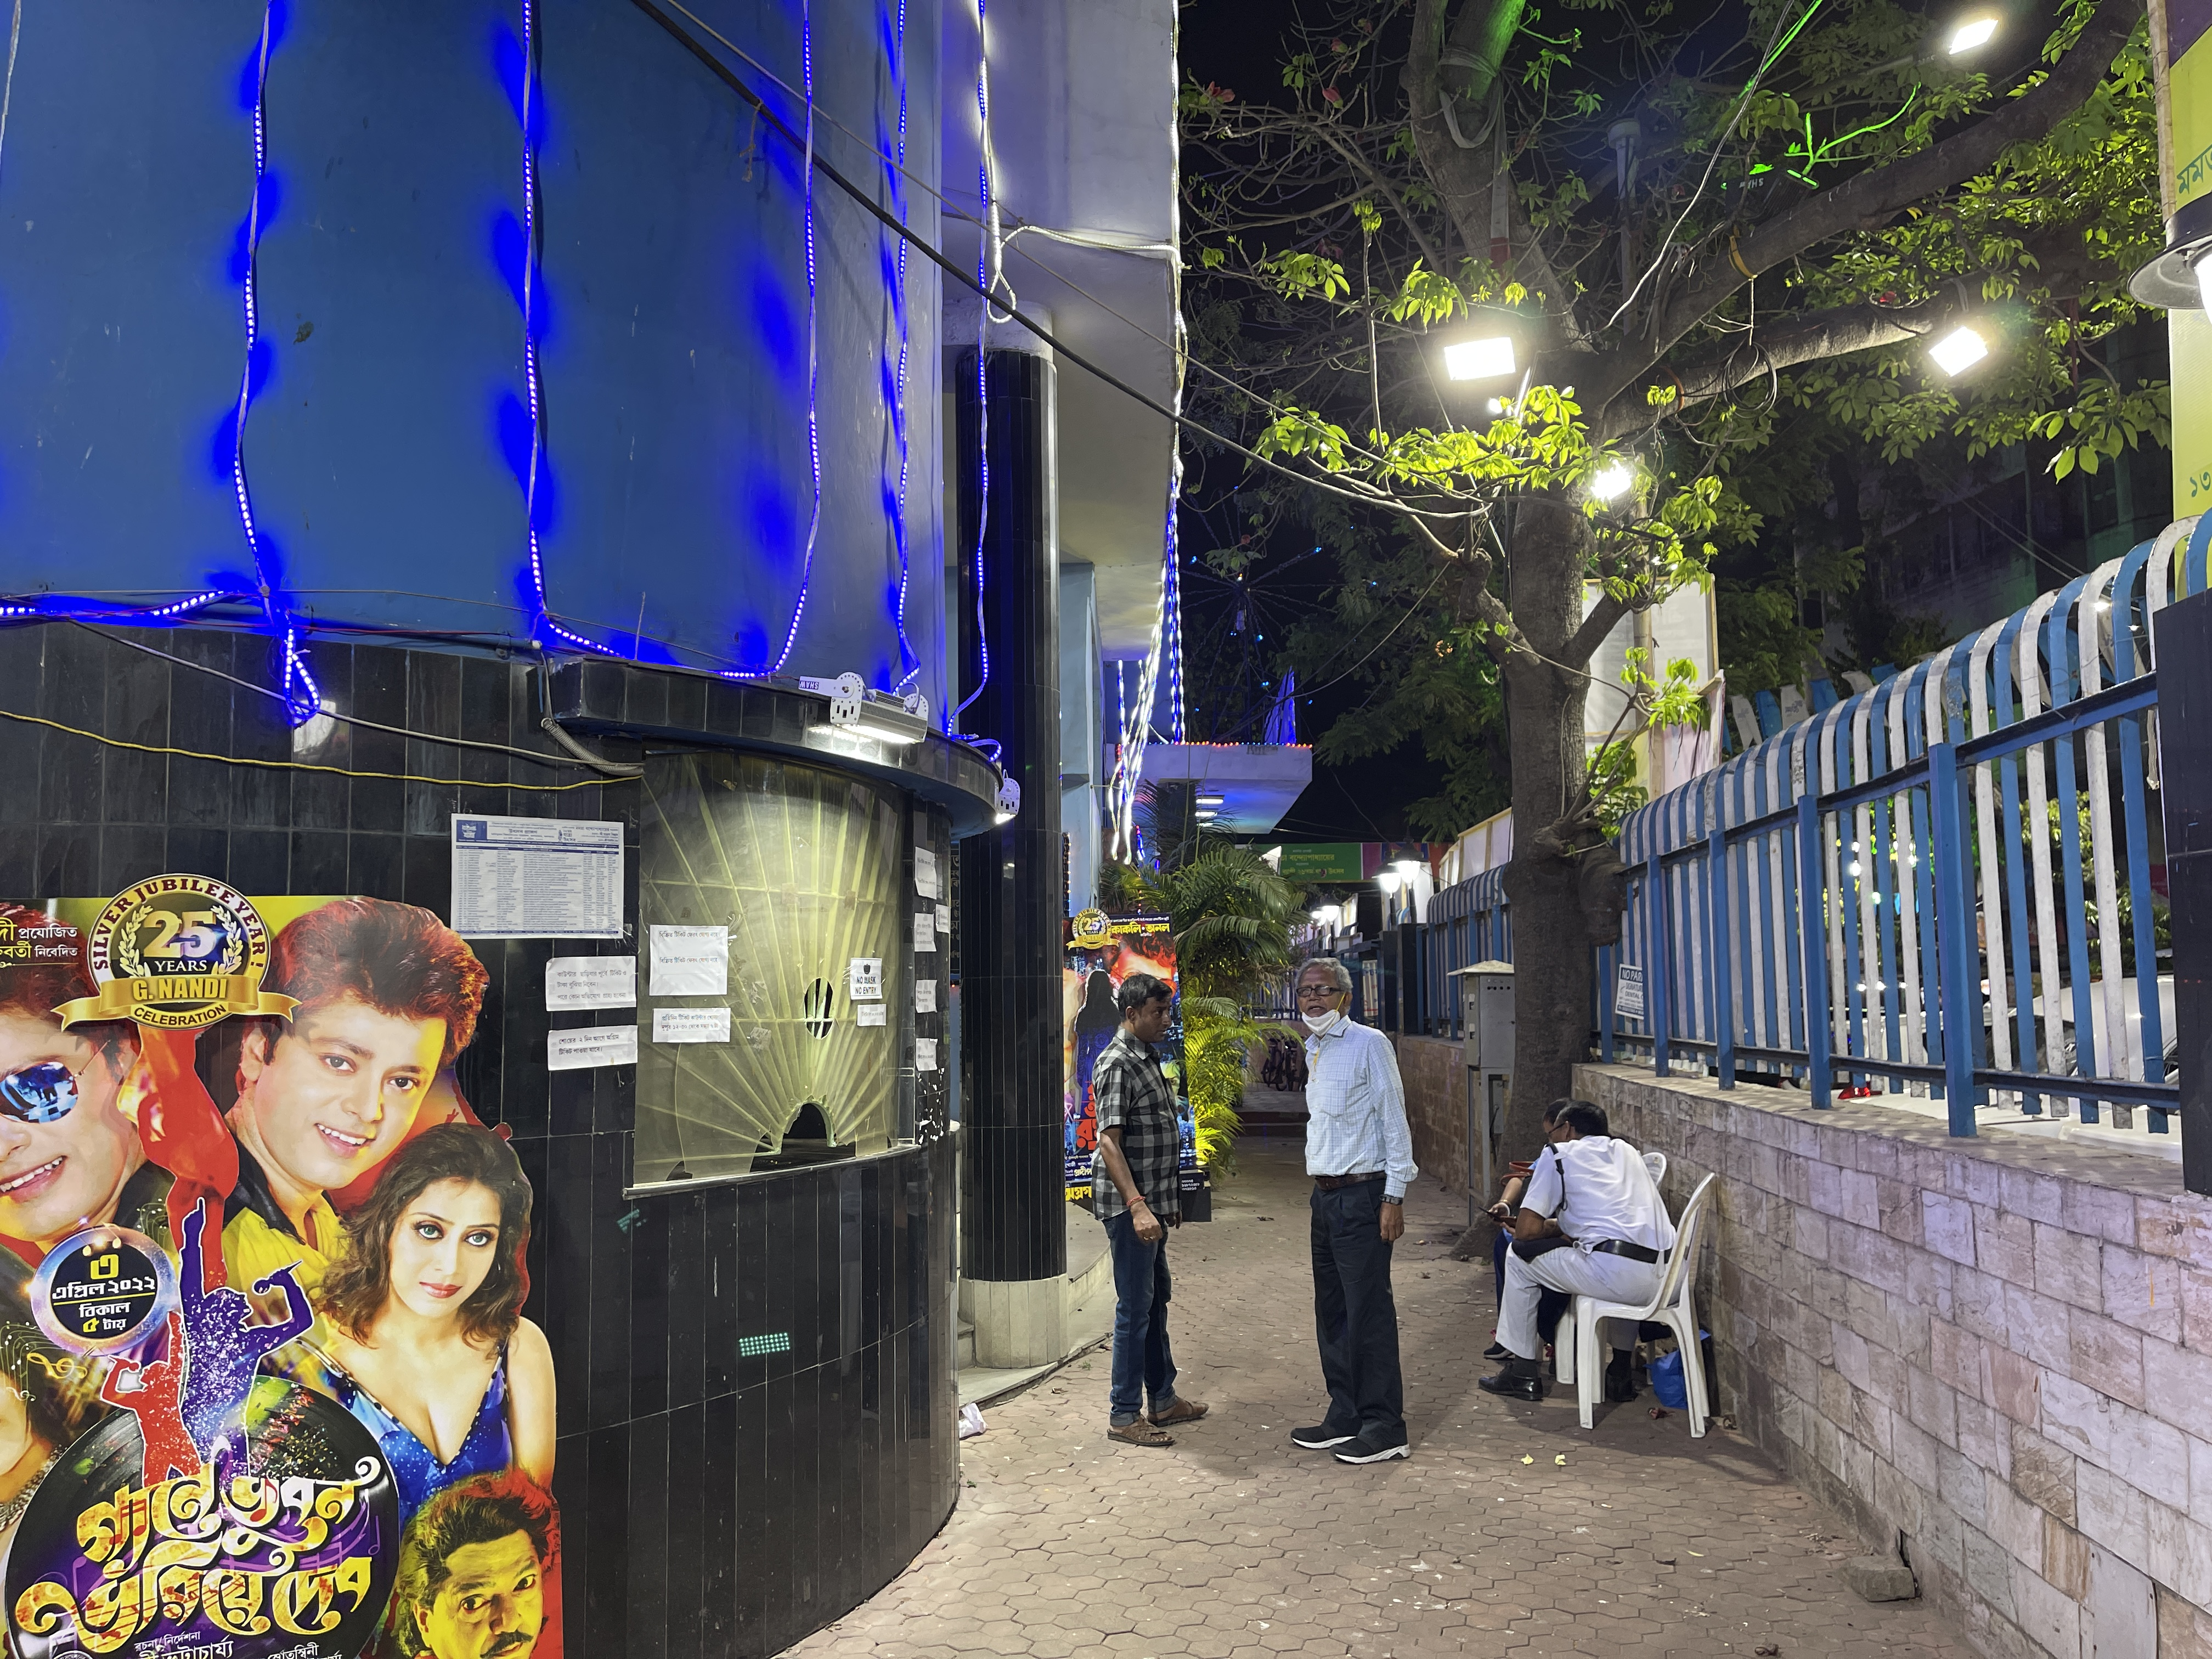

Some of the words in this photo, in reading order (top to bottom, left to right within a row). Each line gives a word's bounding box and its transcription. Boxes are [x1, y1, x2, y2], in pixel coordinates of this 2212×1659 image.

[1288, 851, 1338, 864] বন্দ্যোপাধ্যায়ের
[1324, 864, 1348, 878] উৎসব
[128, 871, 235, 910] JUBILEE
[4, 934, 35, 960] বতী
[15, 916, 81, 942] প্রযোজিত
[30, 939, 82, 962] নিবেদিত
[85, 889, 138, 972] SILVER
[141, 902, 221, 962] 25
[227, 896, 269, 958] YEAR
[670, 928, 690, 940] টিকিট
[695, 931, 720, 941] যোগ্য নহে।
[1077, 930, 1104, 945] G-NANDI
[1107, 916, 1144, 936] কাকলি
[1143, 921, 1173, 938] অনল
[127, 975, 229, 1003] G.NANDI
[153, 953, 211, 977] YEARS
[566, 992, 583, 1001] কোন
[593, 969, 612, 979] পূবে
[853, 974, 865, 986] NO
[852, 985, 866, 999] NO
[860, 985, 879, 997] ENTRY
[863, 974, 877, 987] MASK
[129, 1002, 230, 1028] CELEBRATION
[658, 1023, 673, 1033] দুপূর
[555, 1035, 579, 1047] শোয়ের
[586, 1045, 603, 1055] যাবে।
[46, 1274, 161, 1304] এপ্রিল২০২২
[74, 1296, 132, 1322] বিকাল
[93, 1313, 130, 1334] টায়
[131, 1626, 203, 1653] রচনা/নির্দেশনা